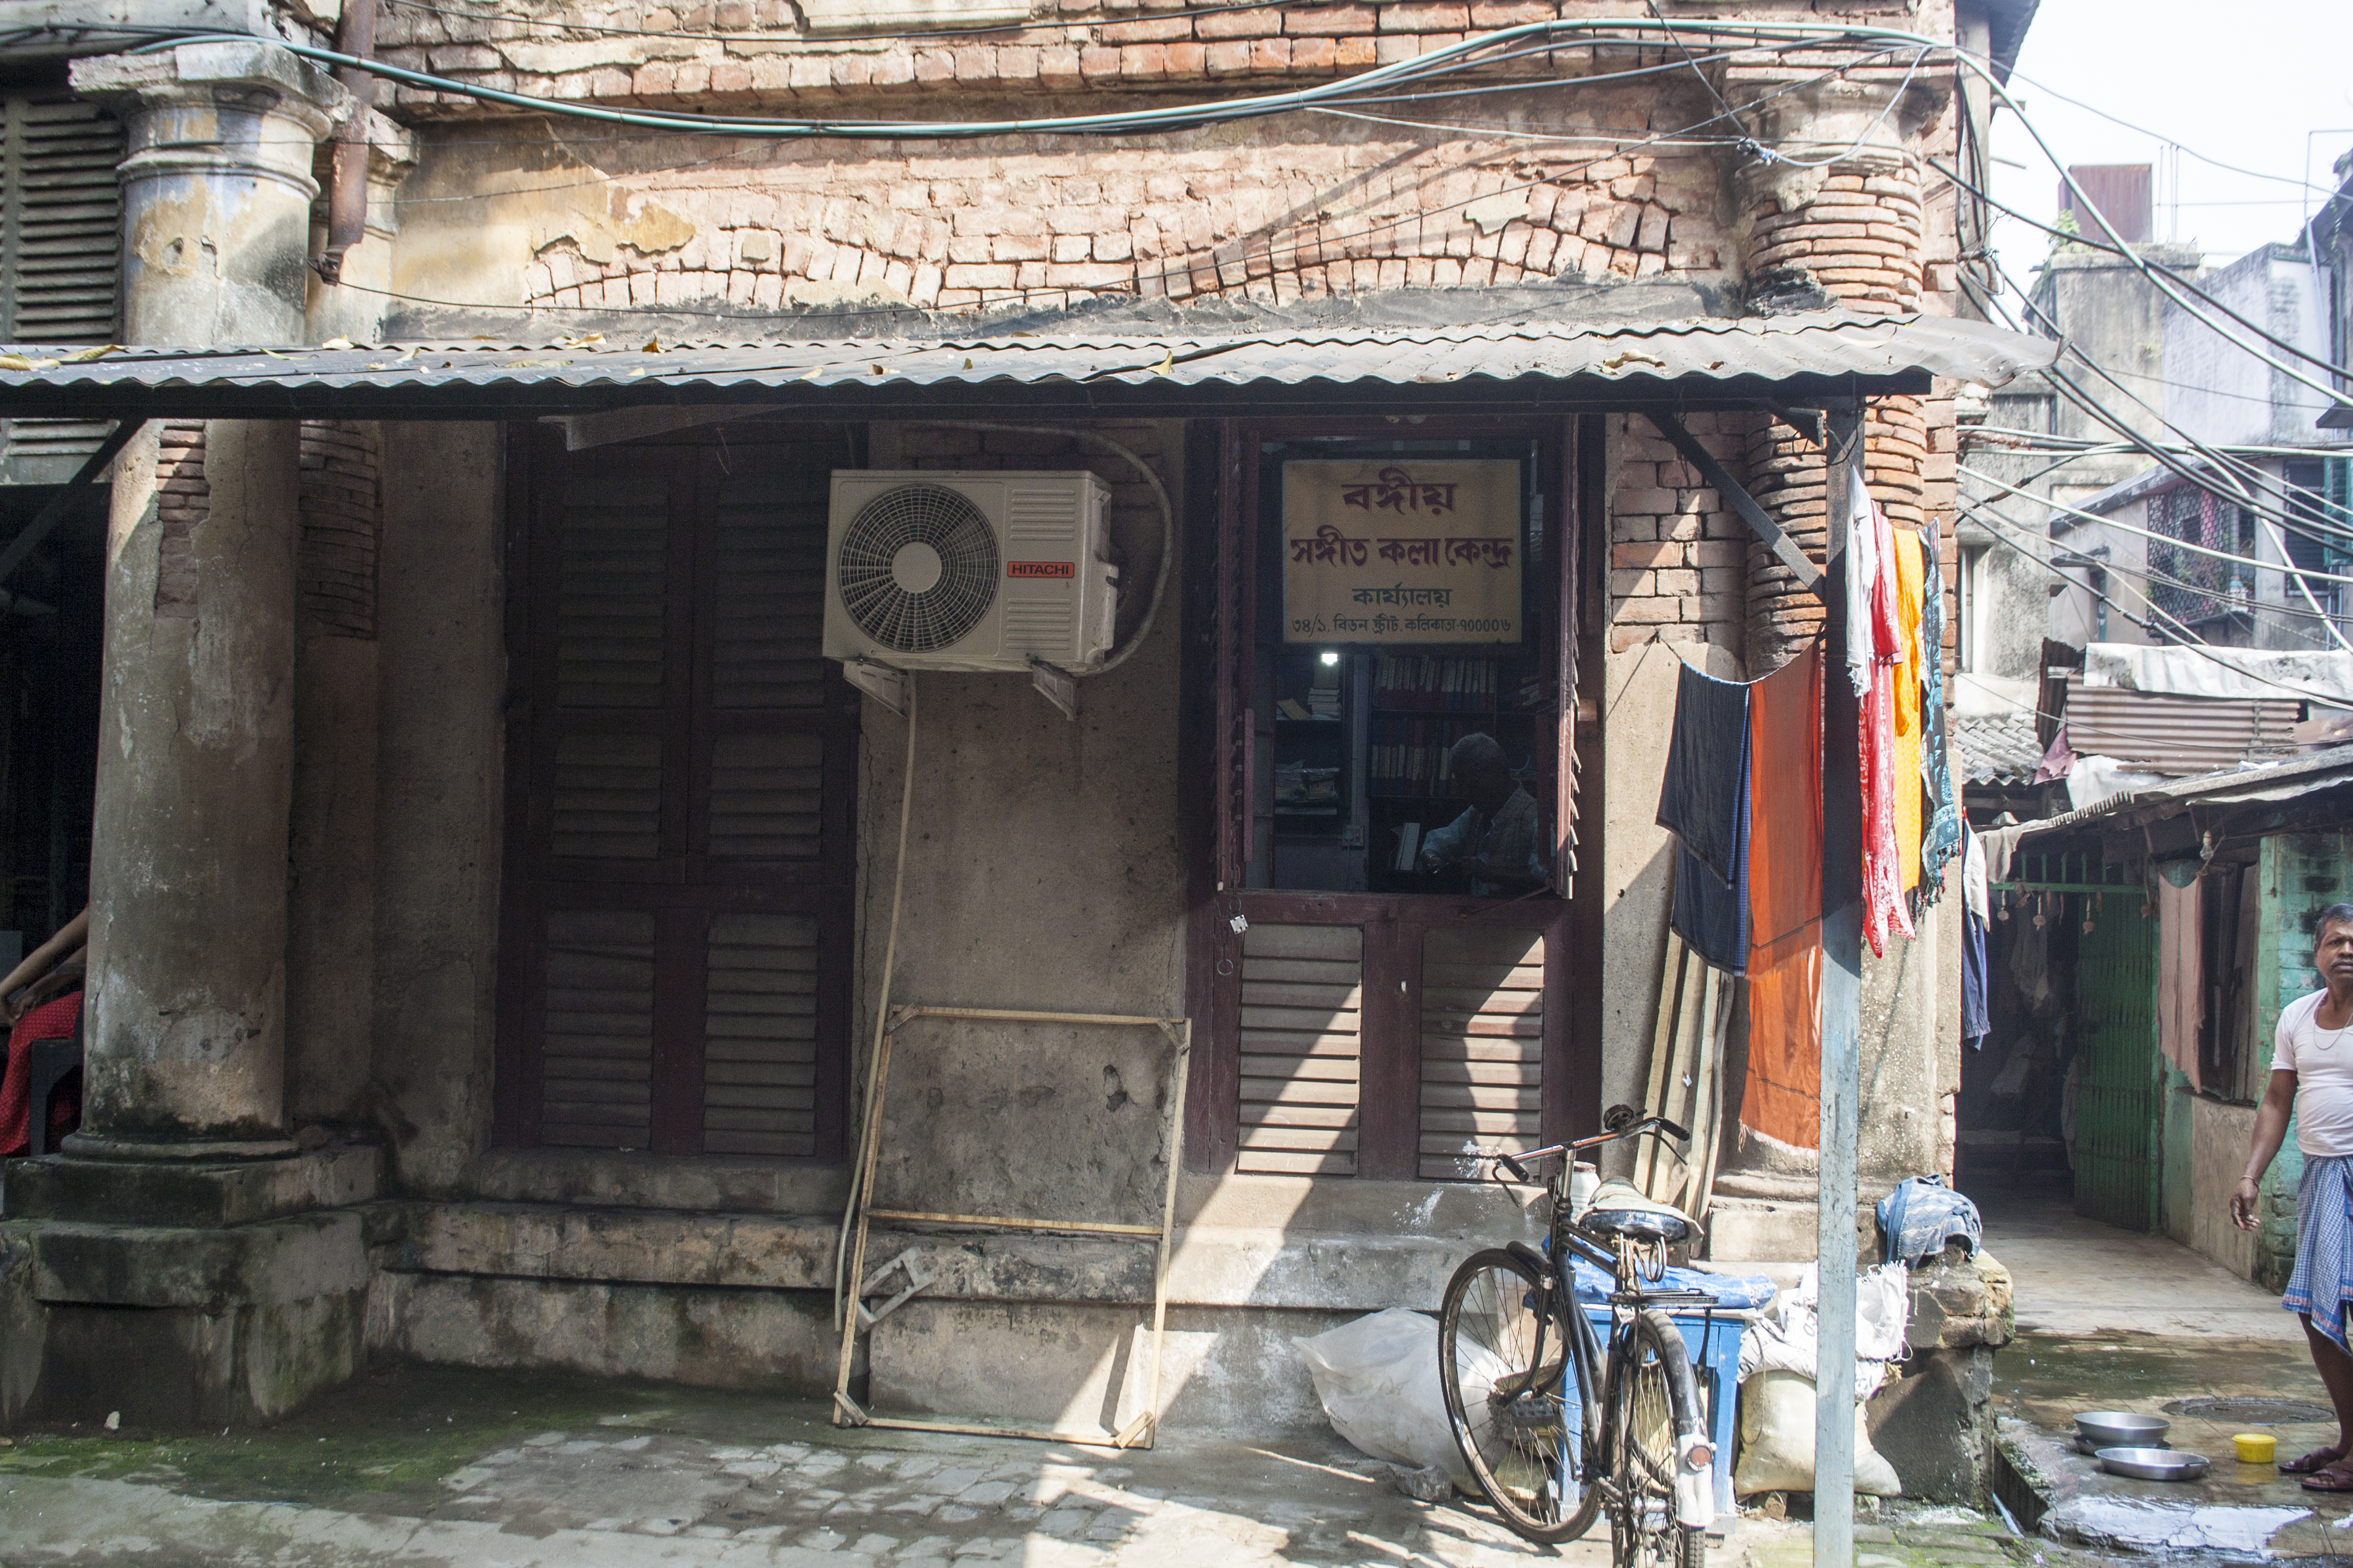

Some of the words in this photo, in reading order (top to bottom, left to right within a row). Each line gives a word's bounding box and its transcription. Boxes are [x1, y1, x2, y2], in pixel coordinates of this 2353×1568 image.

[1339, 458, 1462, 522] বঙ্গীয়
[1009, 555, 1073, 581] HITACHI
[1281, 510, 1373, 571] সঙ্গীত
[1371, 532, 1517, 577] কলা কেন্দ্র
[1339, 571, 1460, 613] কার্য্য৷লয়
[1289, 607, 1330, 640] ৩৪/১
[1327, 608, 1372, 634] বিডন
[1371, 607, 1404, 640] ষ্ট্রীট
[1400, 606, 1460, 635] কলিকাতা
[1457, 608, 1516, 636] ৭০০০০৬